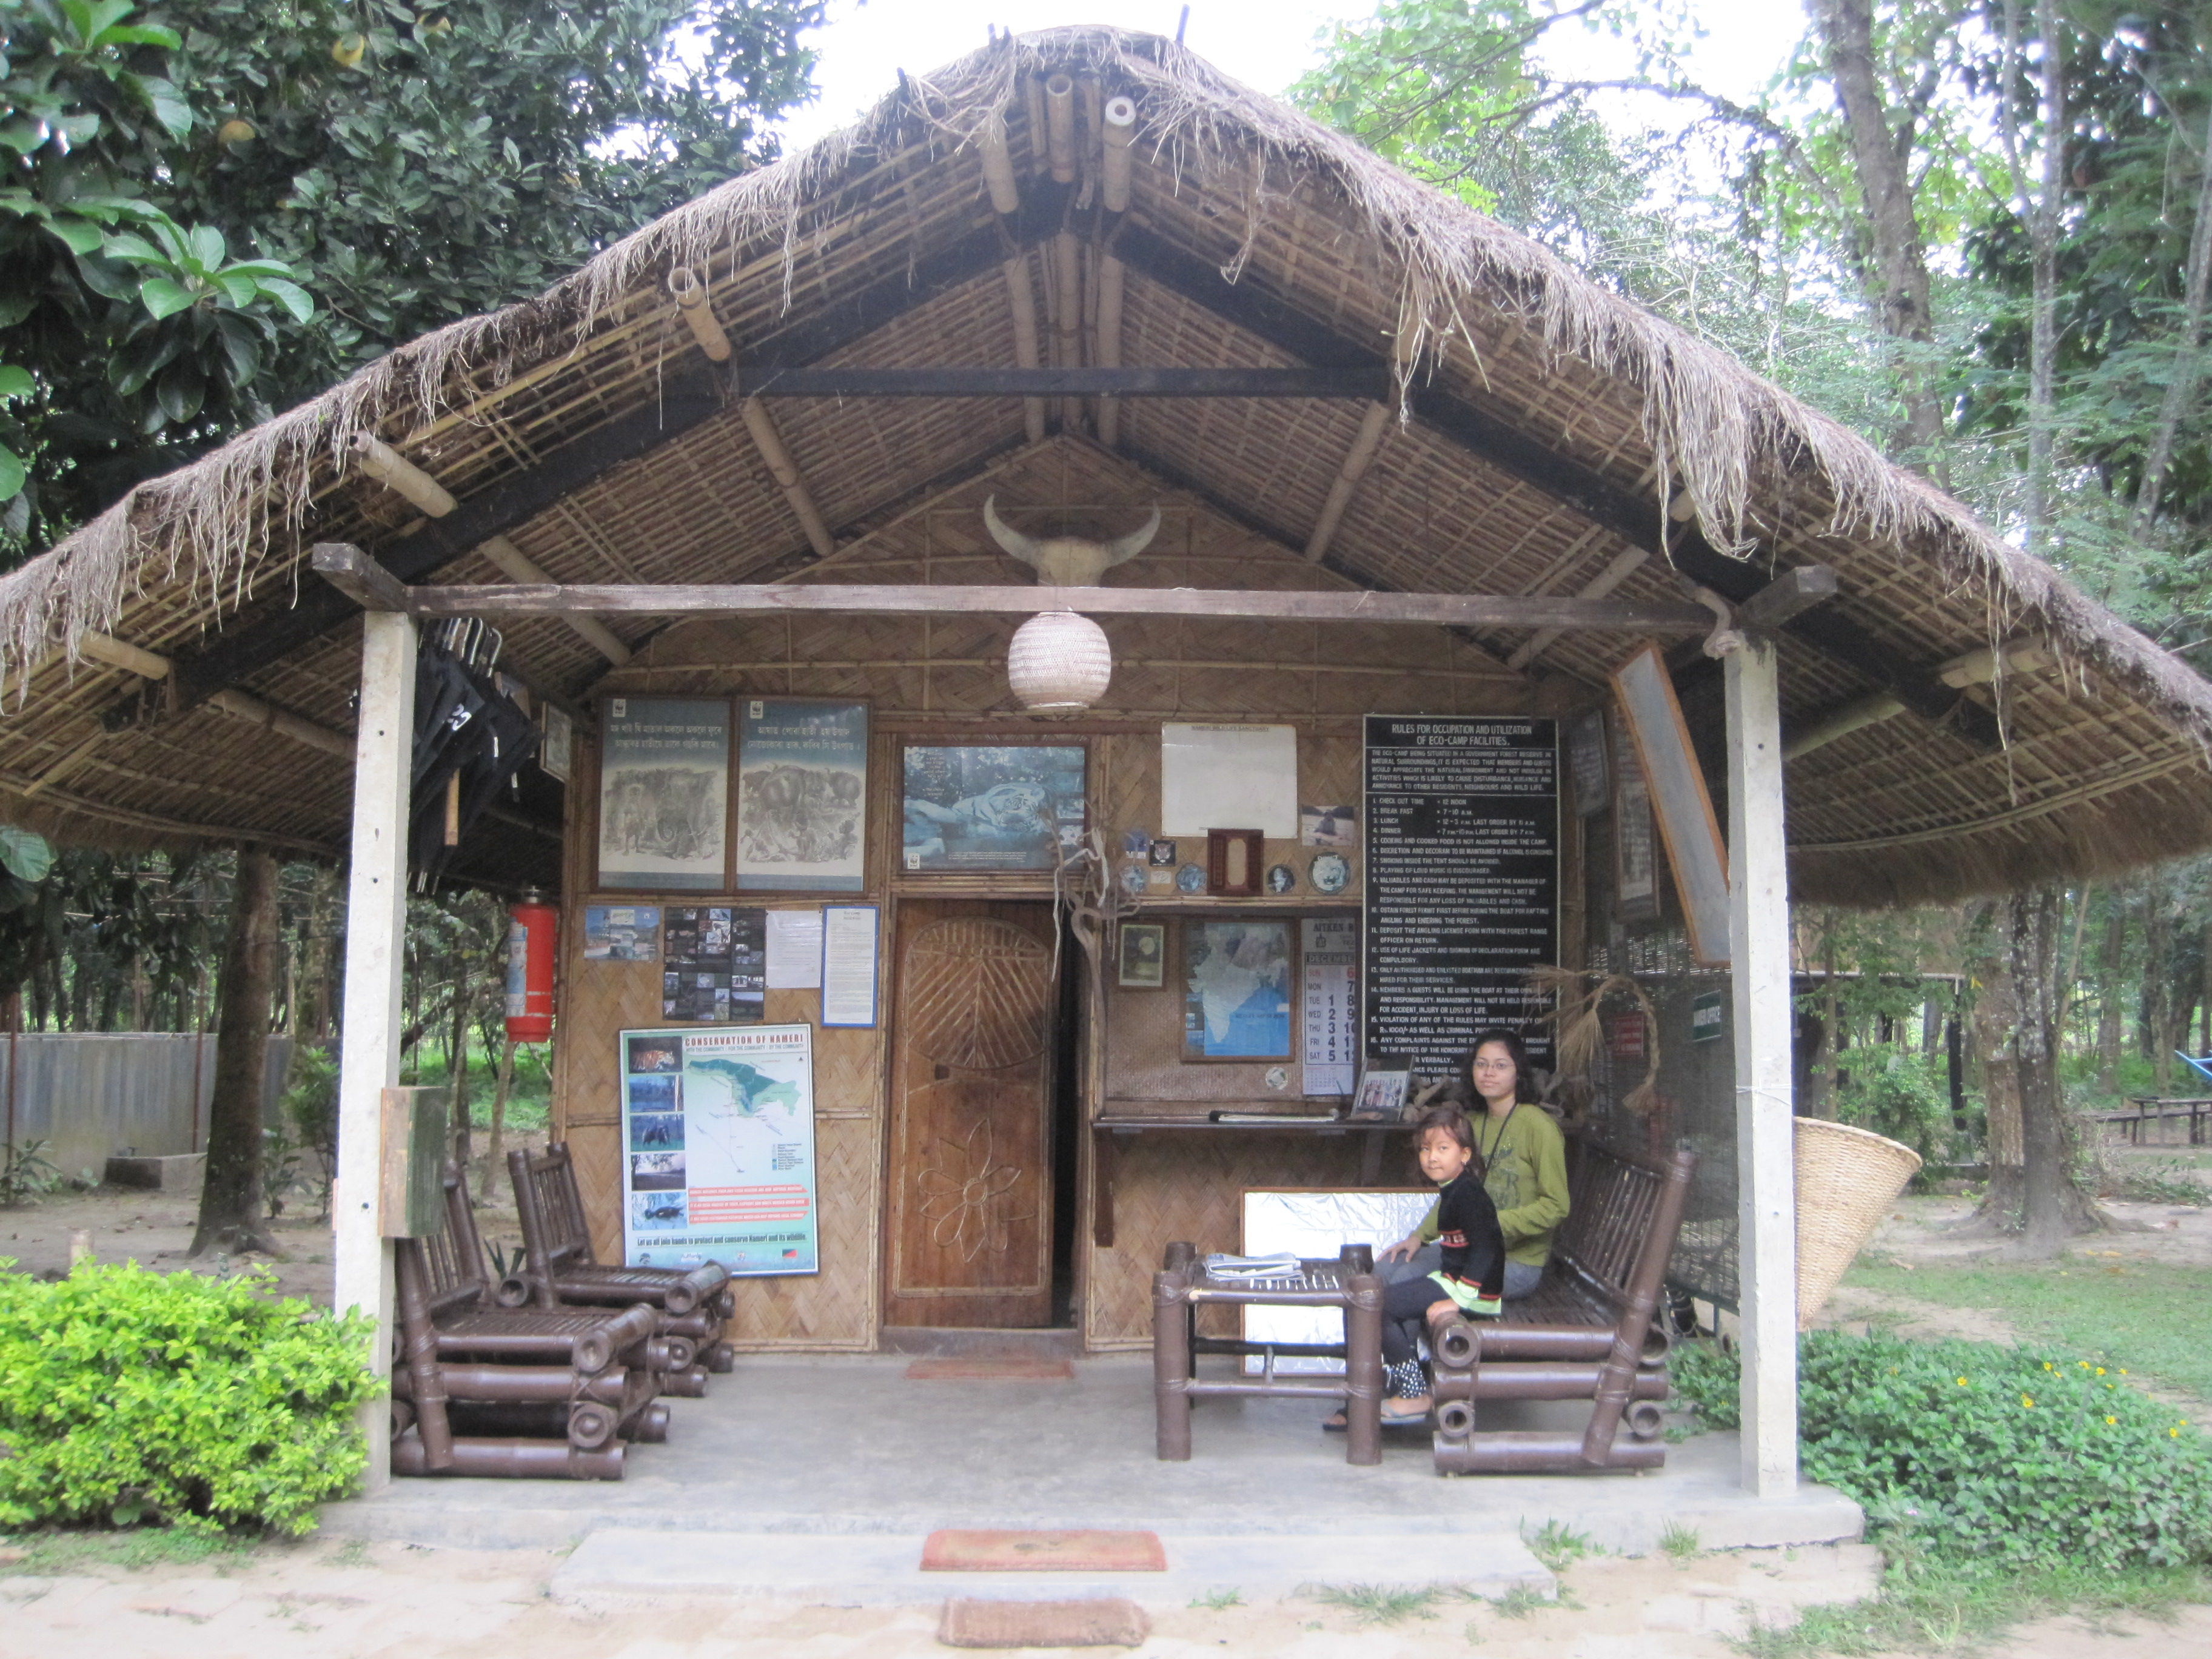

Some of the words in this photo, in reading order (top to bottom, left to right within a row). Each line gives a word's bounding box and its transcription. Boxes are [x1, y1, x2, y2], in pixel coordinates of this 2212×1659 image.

[798, 734, 825, 751] কবিব
[1387, 720, 1419, 737] RULES
[1415, 731, 1429, 748] OF
[1415, 721, 1435, 737] FOR
[1427, 728, 1447, 749] ECO-
[1429, 720, 1479, 737] OCCUPATION
[1444, 731, 1471, 748] CAMP
[1472, 720, 1493, 739] AND
[1469, 733, 1513, 749] FACILITIES.
[1489, 722, 1535, 738] UTILIZATION
[682, 1031, 757, 1048] CONSERVATION
[750, 1030, 769, 1048] OF
[766, 1028, 806, 1046] NAMERI